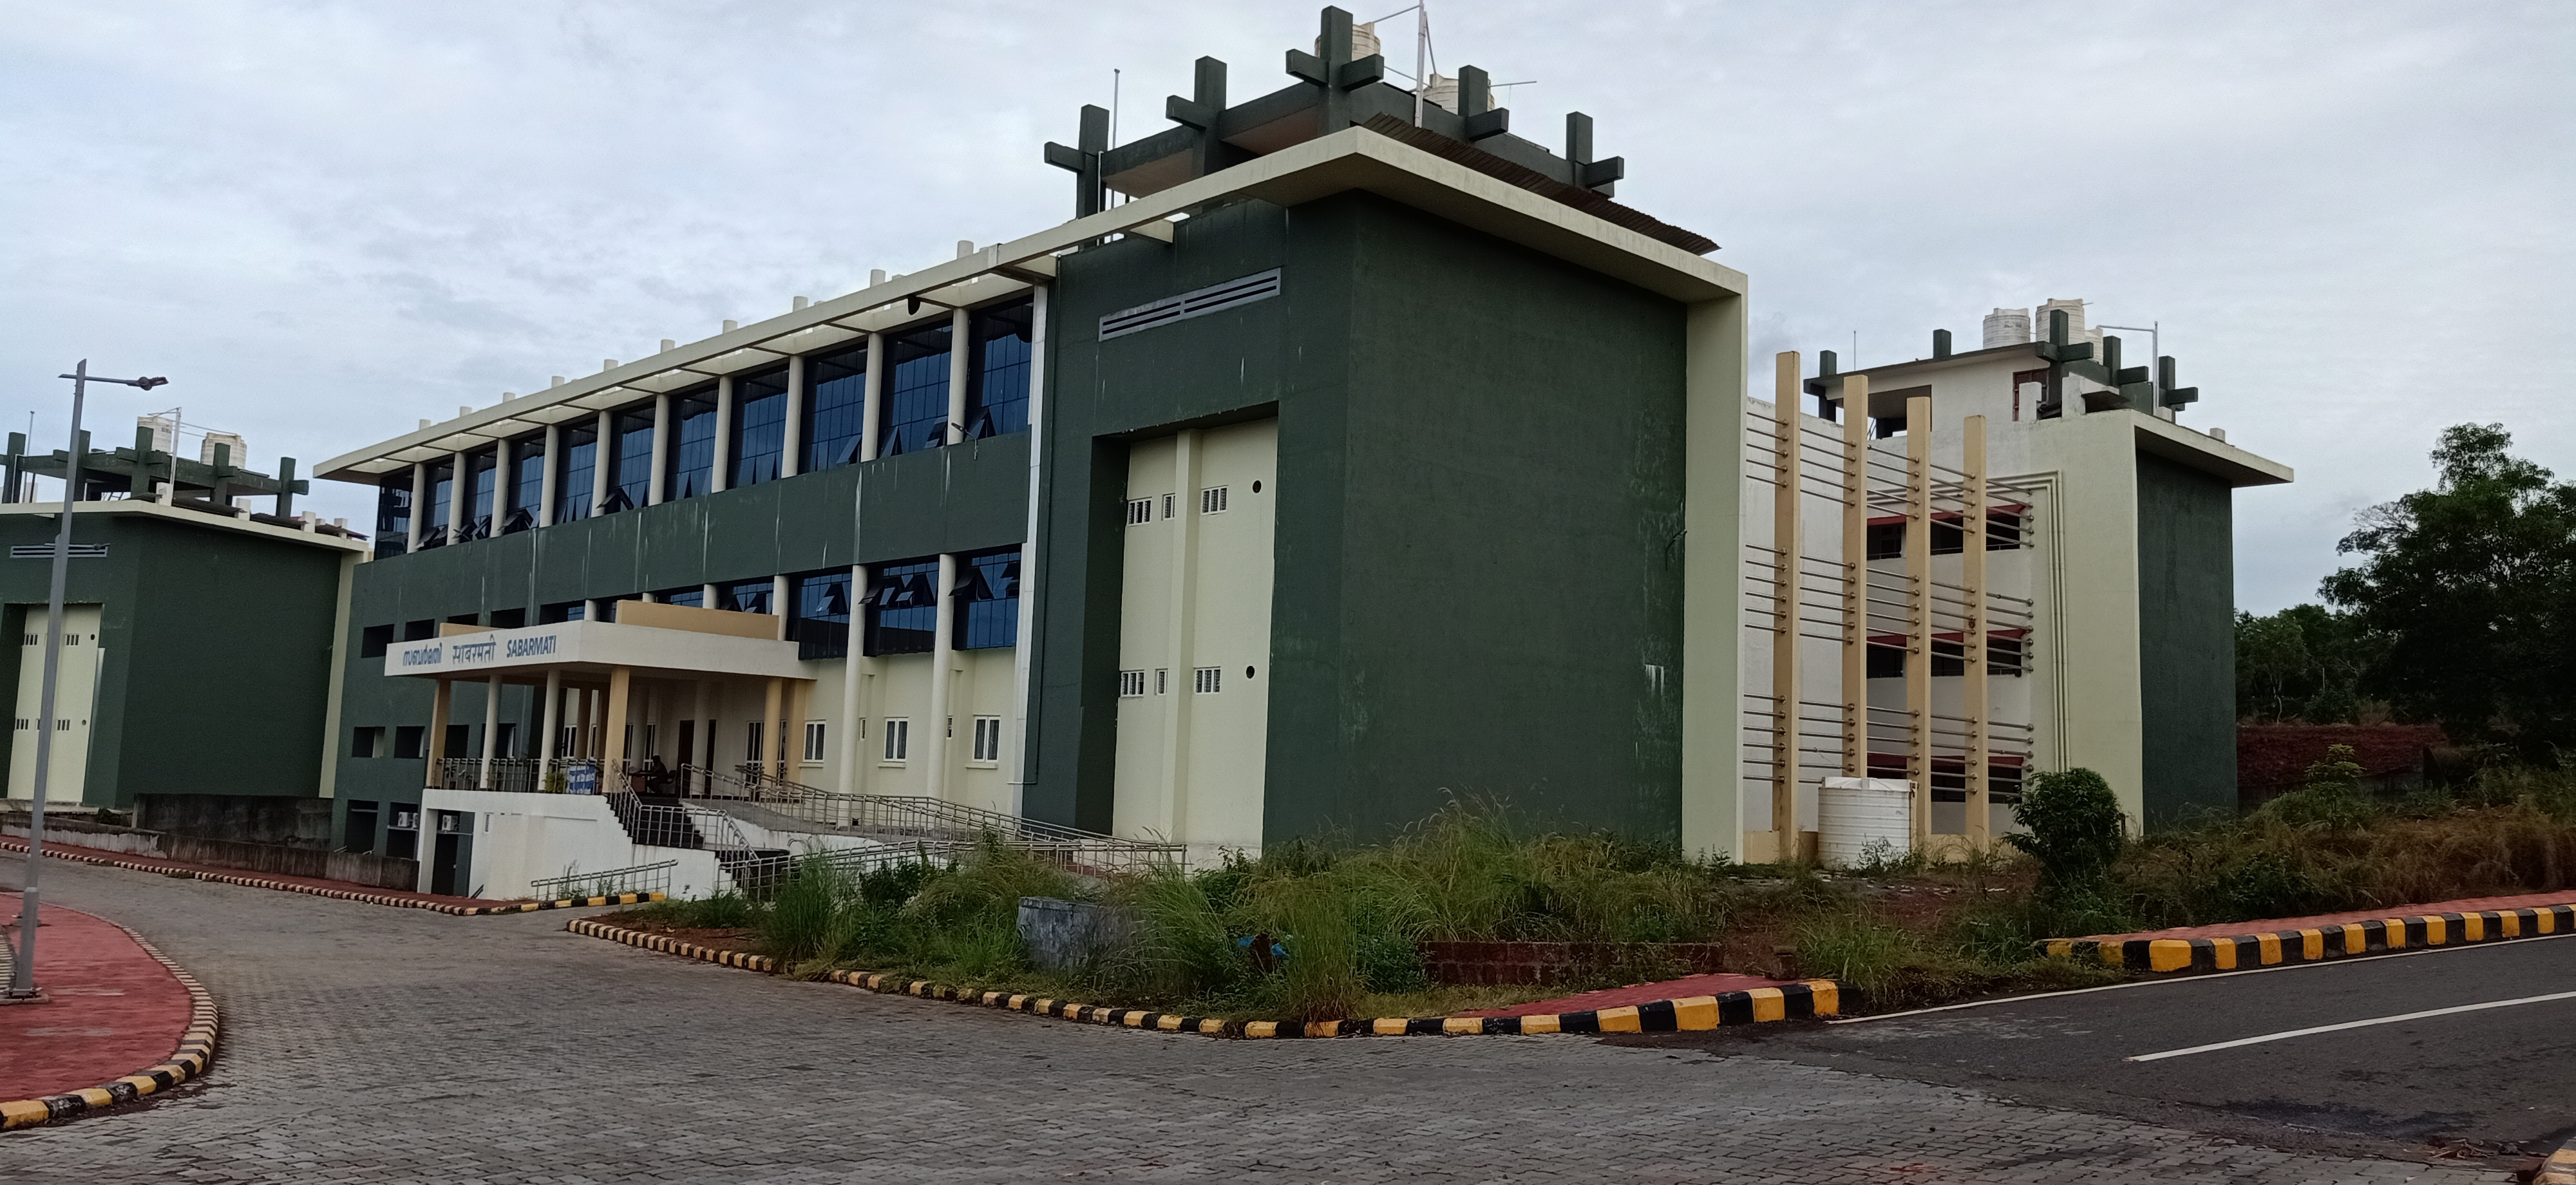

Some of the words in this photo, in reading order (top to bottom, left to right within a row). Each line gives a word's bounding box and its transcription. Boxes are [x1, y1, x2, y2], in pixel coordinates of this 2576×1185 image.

[398, 639, 448, 667] സബർമതി
[448, 630, 498, 669] साबरमती
[503, 632, 560, 661] SABARMATI